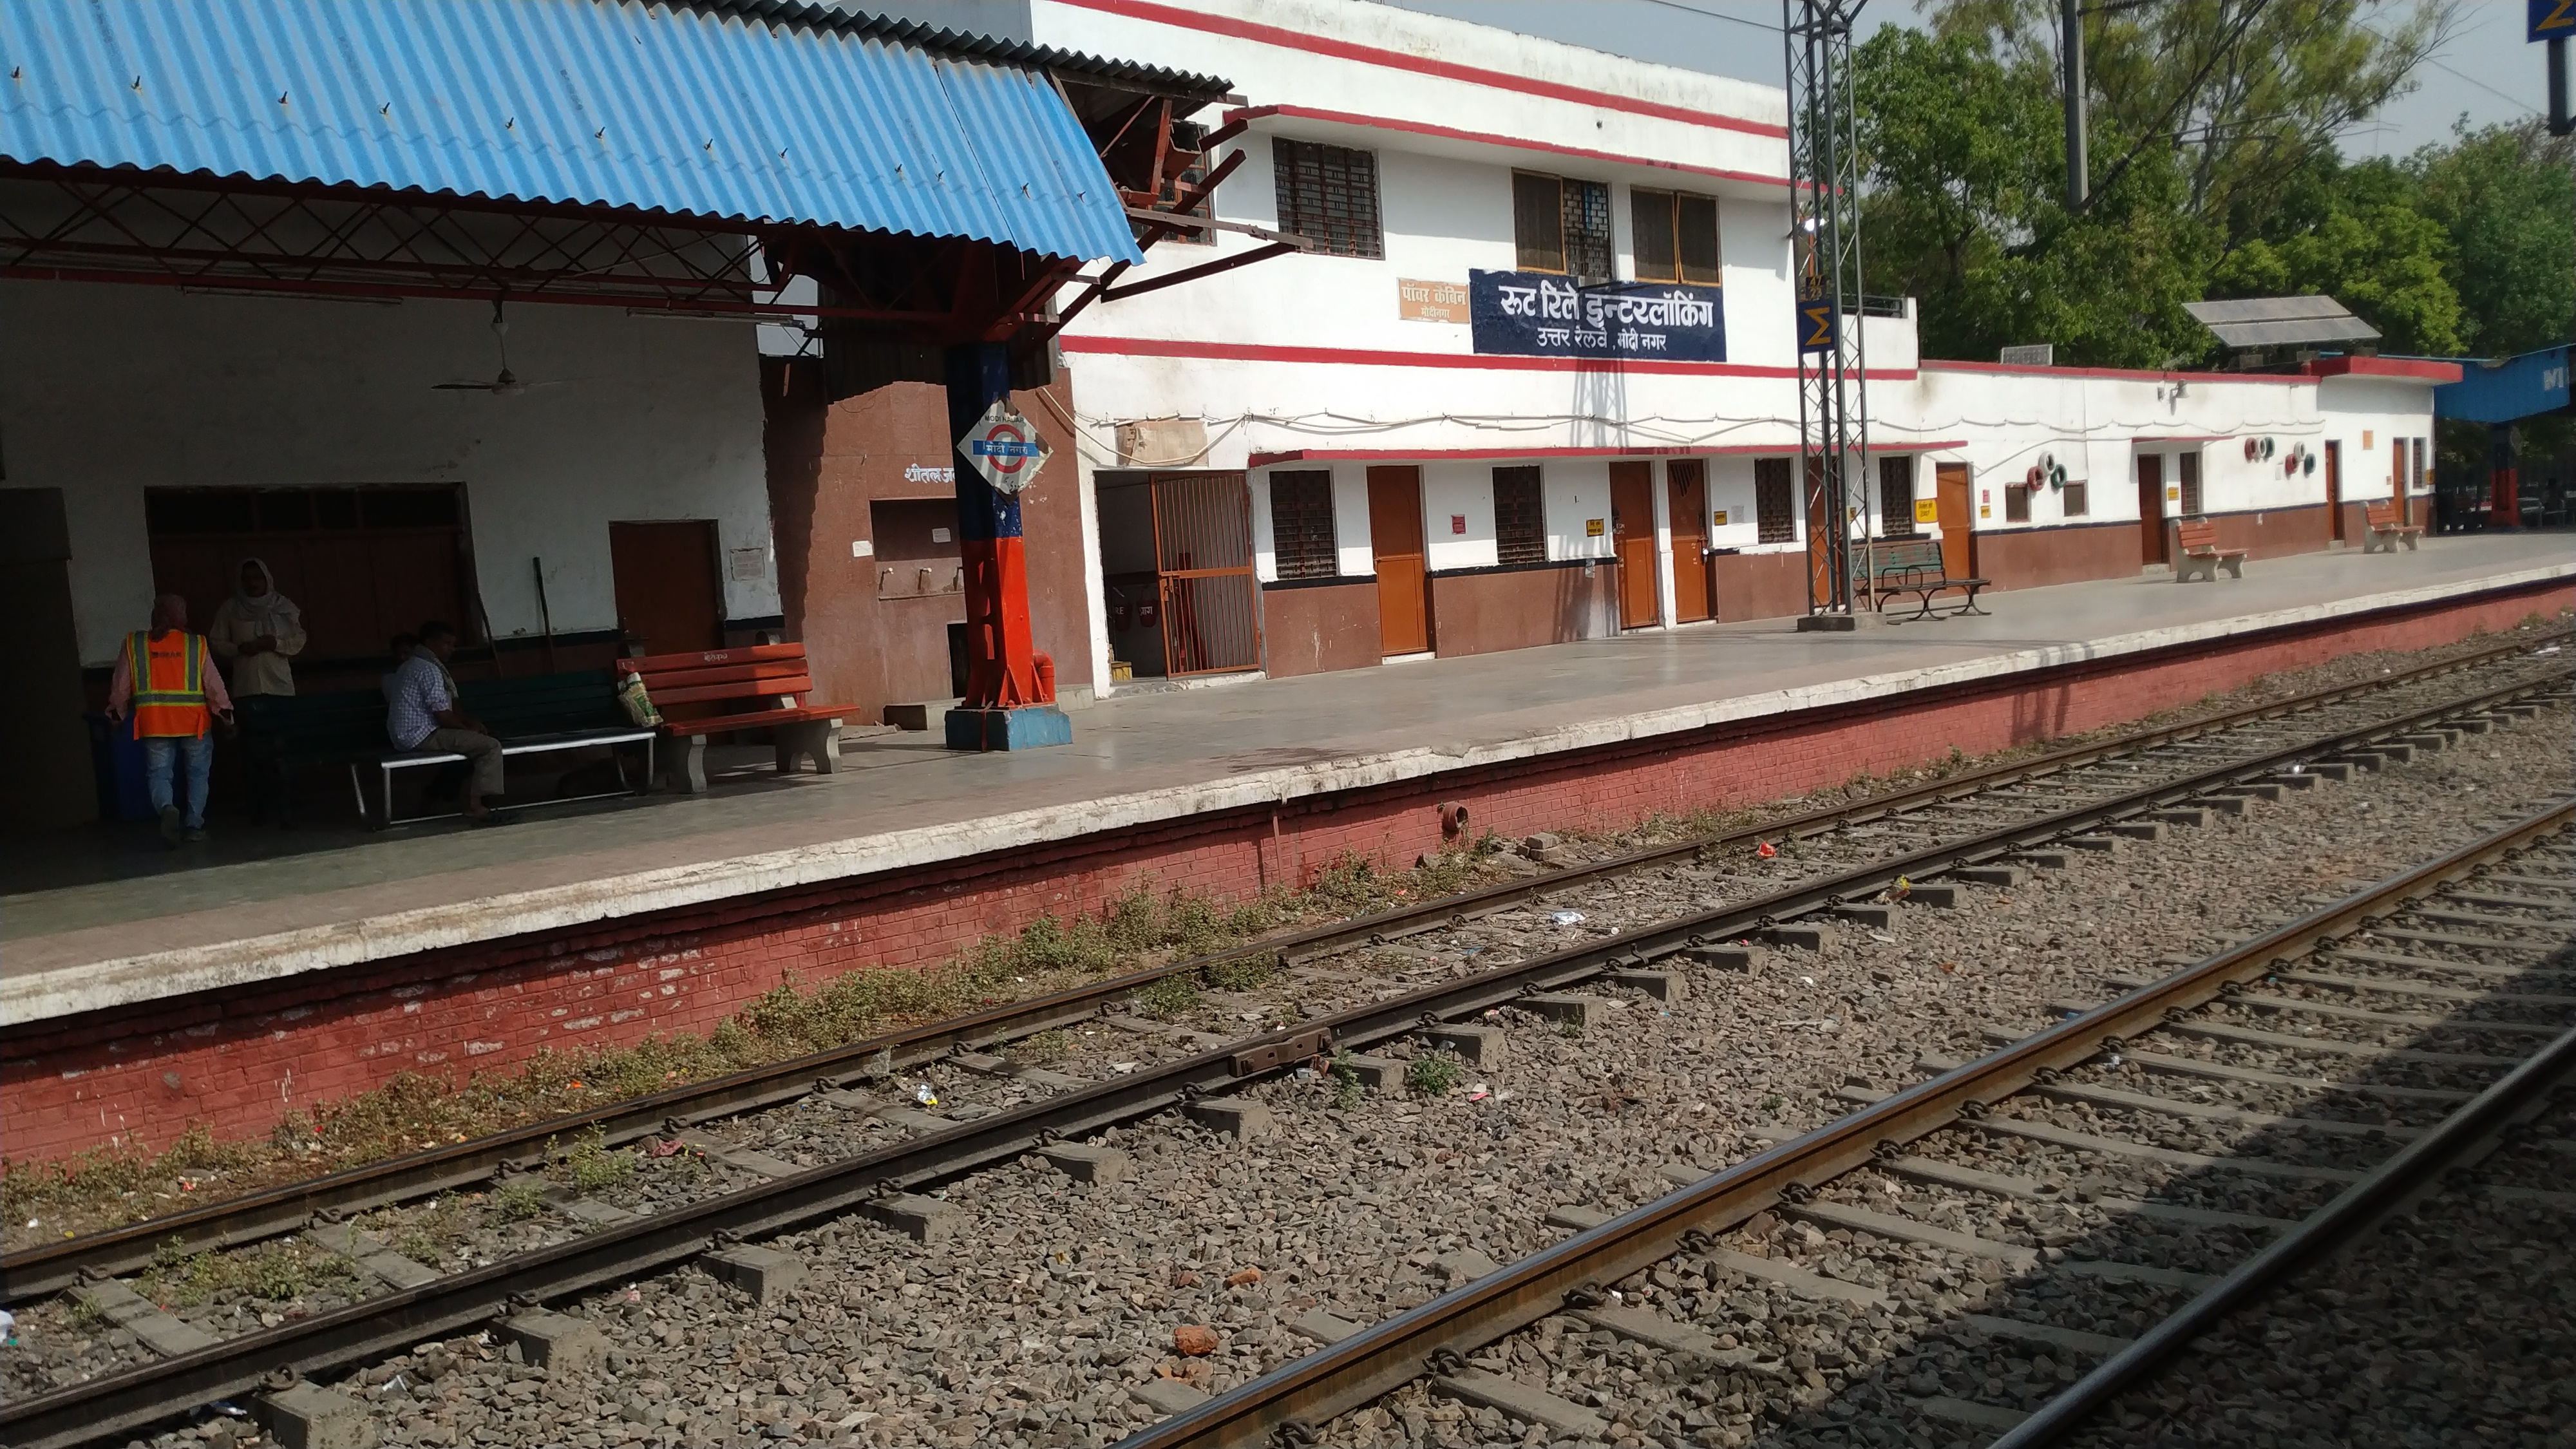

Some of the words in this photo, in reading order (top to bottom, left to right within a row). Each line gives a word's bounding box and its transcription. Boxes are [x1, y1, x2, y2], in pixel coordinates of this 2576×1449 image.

[1400, 280, 1432, 305] पॉवर
[1417, 303, 1454, 319] मोदीनगर
[1431, 280, 1470, 308] कैबिन
[1497, 283, 1539, 317] रुट
[1537, 277, 1581, 321] रिले
[1585, 287, 1715, 331] इन्टरलॉकिंग
[1534, 325, 1573, 350] उत्तर
[1571, 322, 1611, 350] रेलवे
[1615, 325, 1640, 352] मोदी
[1638, 332, 1670, 354] नगर
[982, 413, 1003, 424] MODI
[1001, 414, 1026, 426] NAGAR
[982, 437, 1009, 454] मोदी
[1008, 444, 1029, 456] नगर
[902, 459, 943, 485] शीतल